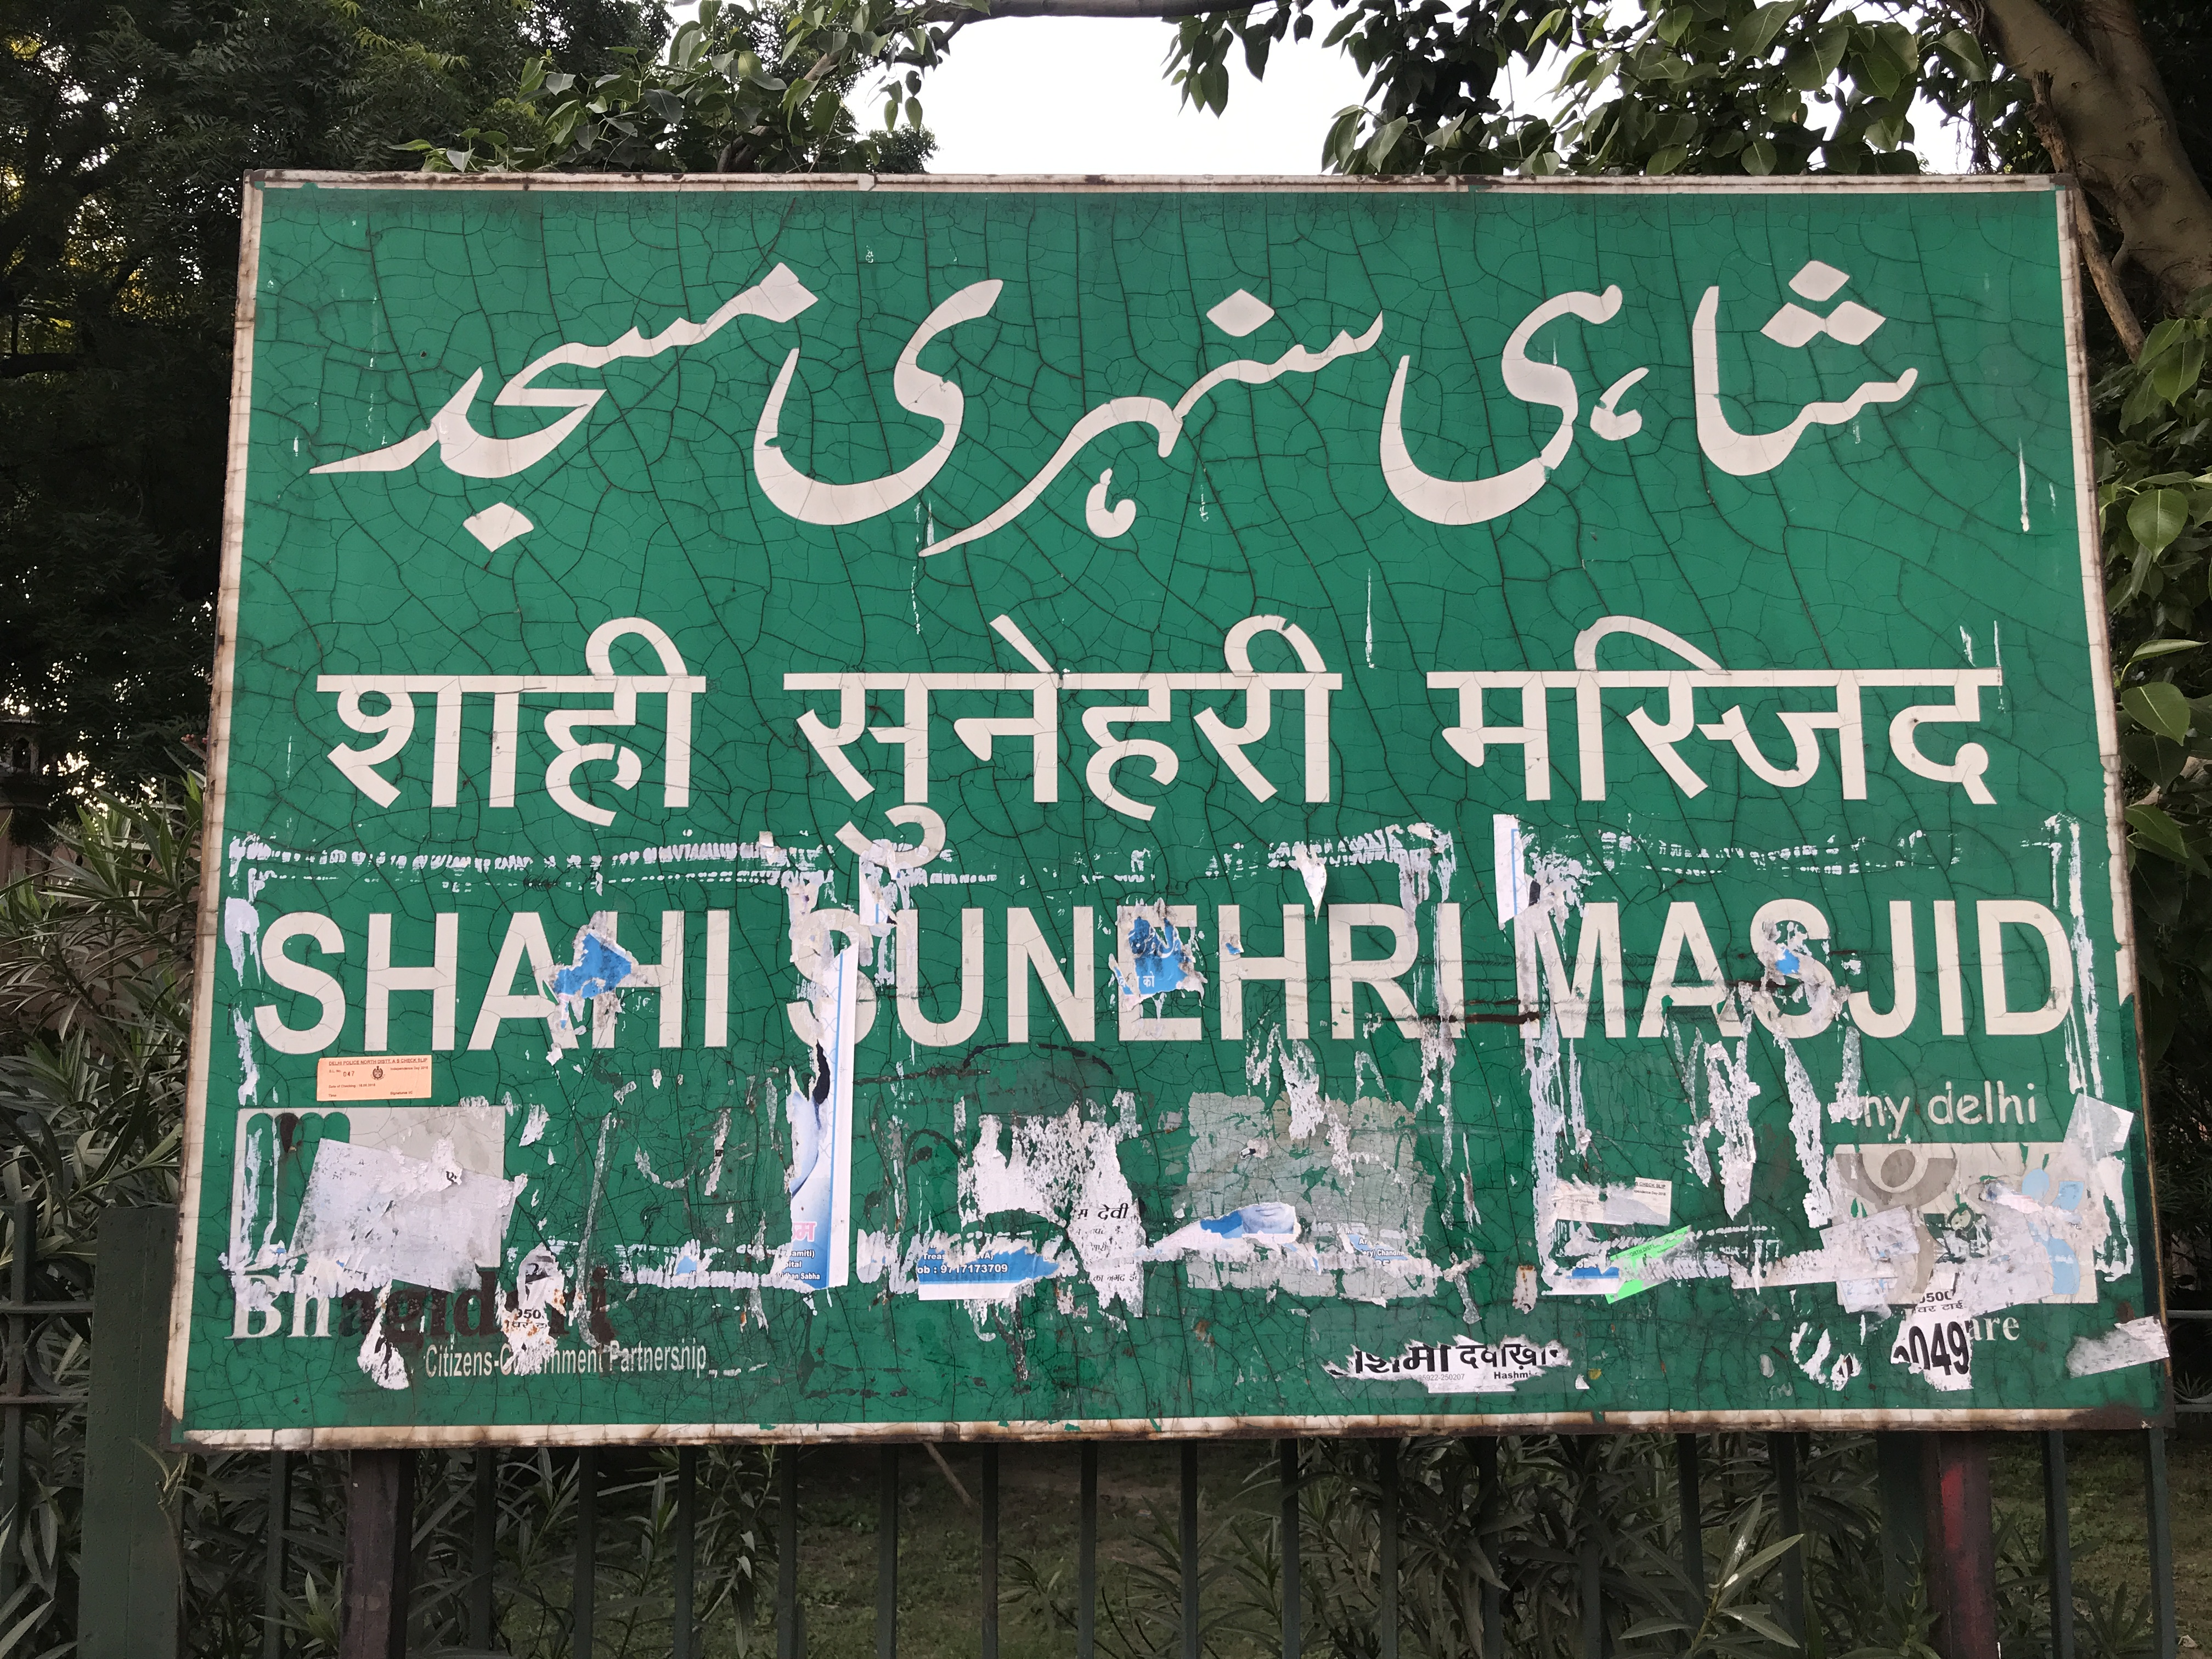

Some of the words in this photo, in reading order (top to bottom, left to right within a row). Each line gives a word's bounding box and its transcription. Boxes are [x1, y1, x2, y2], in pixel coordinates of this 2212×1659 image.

[298, 249, 1925, 565] شاہی سنہری مسجد
[303, 613, 714, 838] शाही
[782, 606, 1350, 878] सुनेहरी
[1417, 602, 2004, 811] मस्जिद
[232, 895, 742, 1066] SHAHI
[781, 898, 1469, 1061] SUNEHRI
[1509, 895, 2081, 1046] MASJID
[1831, 1085, 1915, 1148] y
[1920, 1073, 2045, 1136] delhi
[416, 1333, 498, 1383] Citizens.
[492, 1332, 606, 1380] nment
[605, 1334, 719, 1386] Partnership_